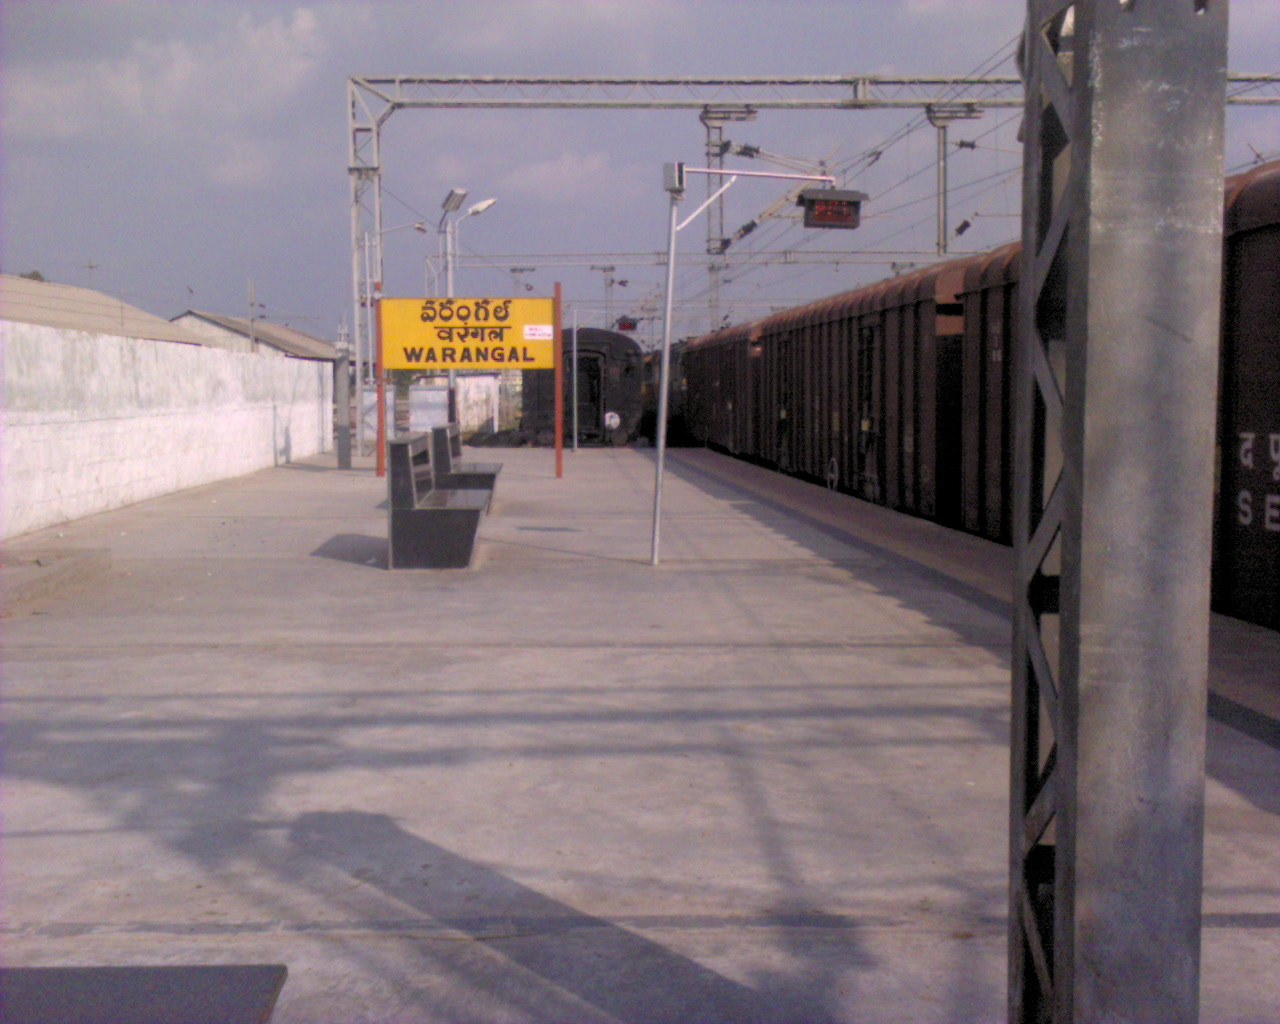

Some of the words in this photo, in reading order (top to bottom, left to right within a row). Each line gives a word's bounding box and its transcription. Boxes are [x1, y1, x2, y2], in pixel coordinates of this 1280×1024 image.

[413, 292, 517, 327] వరంగల్
[431, 315, 513, 347] वरंगल
[400, 343, 539, 367] WARANGAL